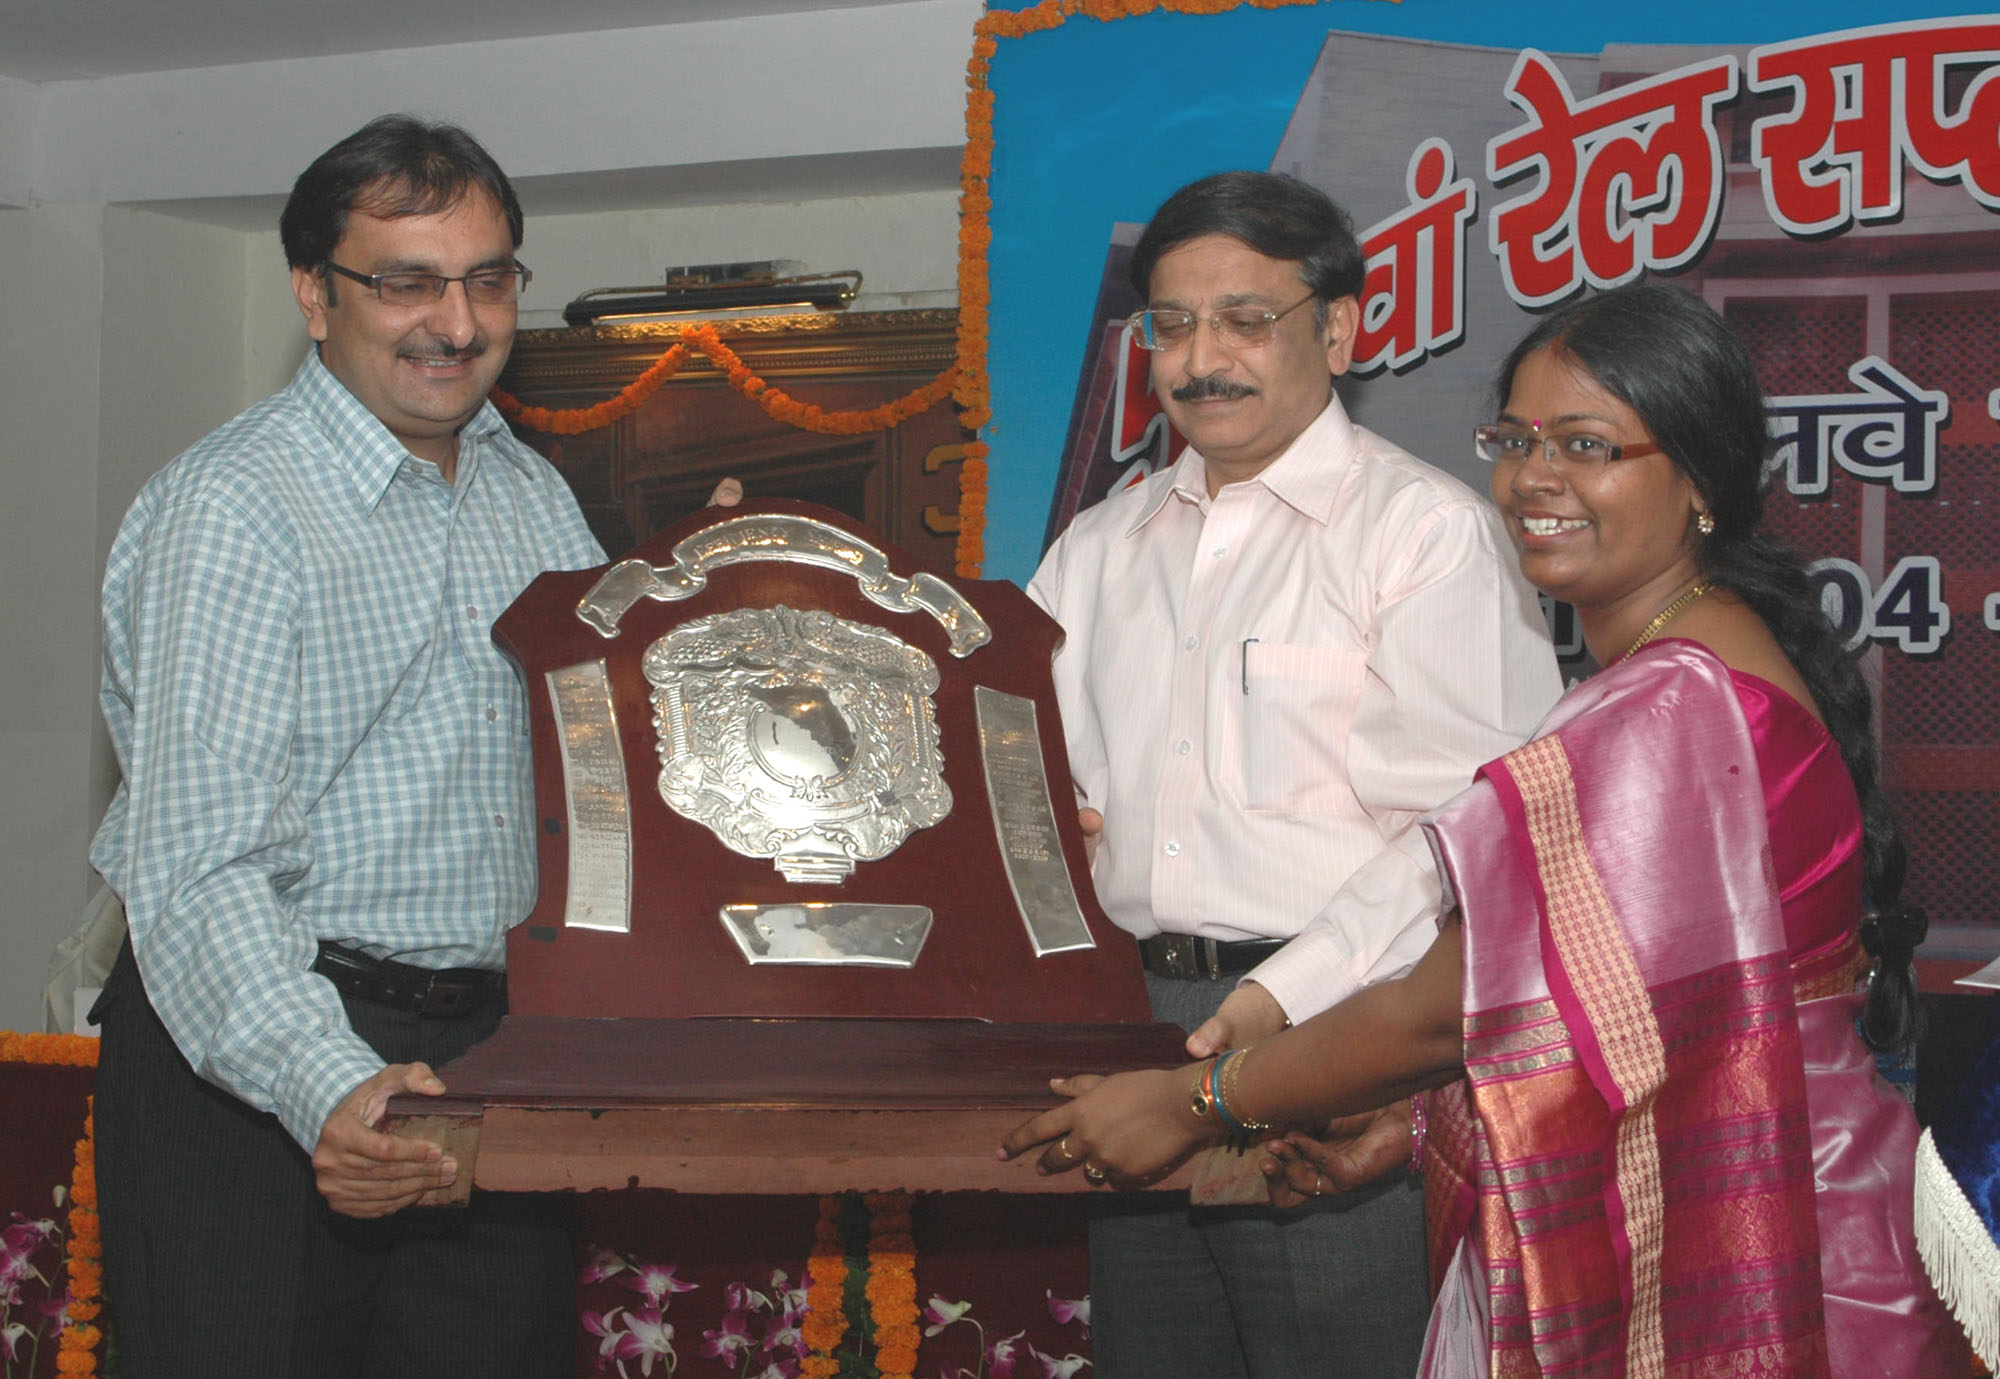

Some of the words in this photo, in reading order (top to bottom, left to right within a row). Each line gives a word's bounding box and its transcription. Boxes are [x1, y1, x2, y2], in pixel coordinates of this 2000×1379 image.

[1483, 40, 1742, 312] रेल
[1747, 11, 1998, 239] सप्
[1755, 350, 1948, 501] लवे